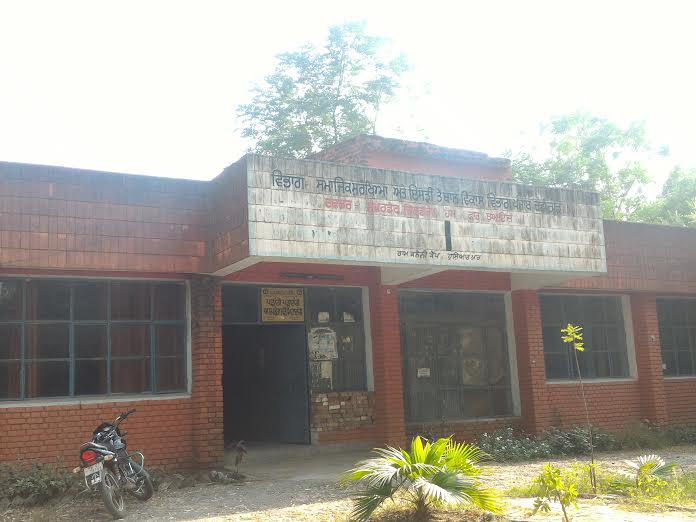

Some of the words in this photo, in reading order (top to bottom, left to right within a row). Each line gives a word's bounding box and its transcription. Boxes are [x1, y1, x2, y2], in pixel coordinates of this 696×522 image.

[267, 165, 310, 193] ਵਿਭਾਗ
[313, 173, 391, 201] ਸਮਾਜਿਕਸਰਖਿਆ